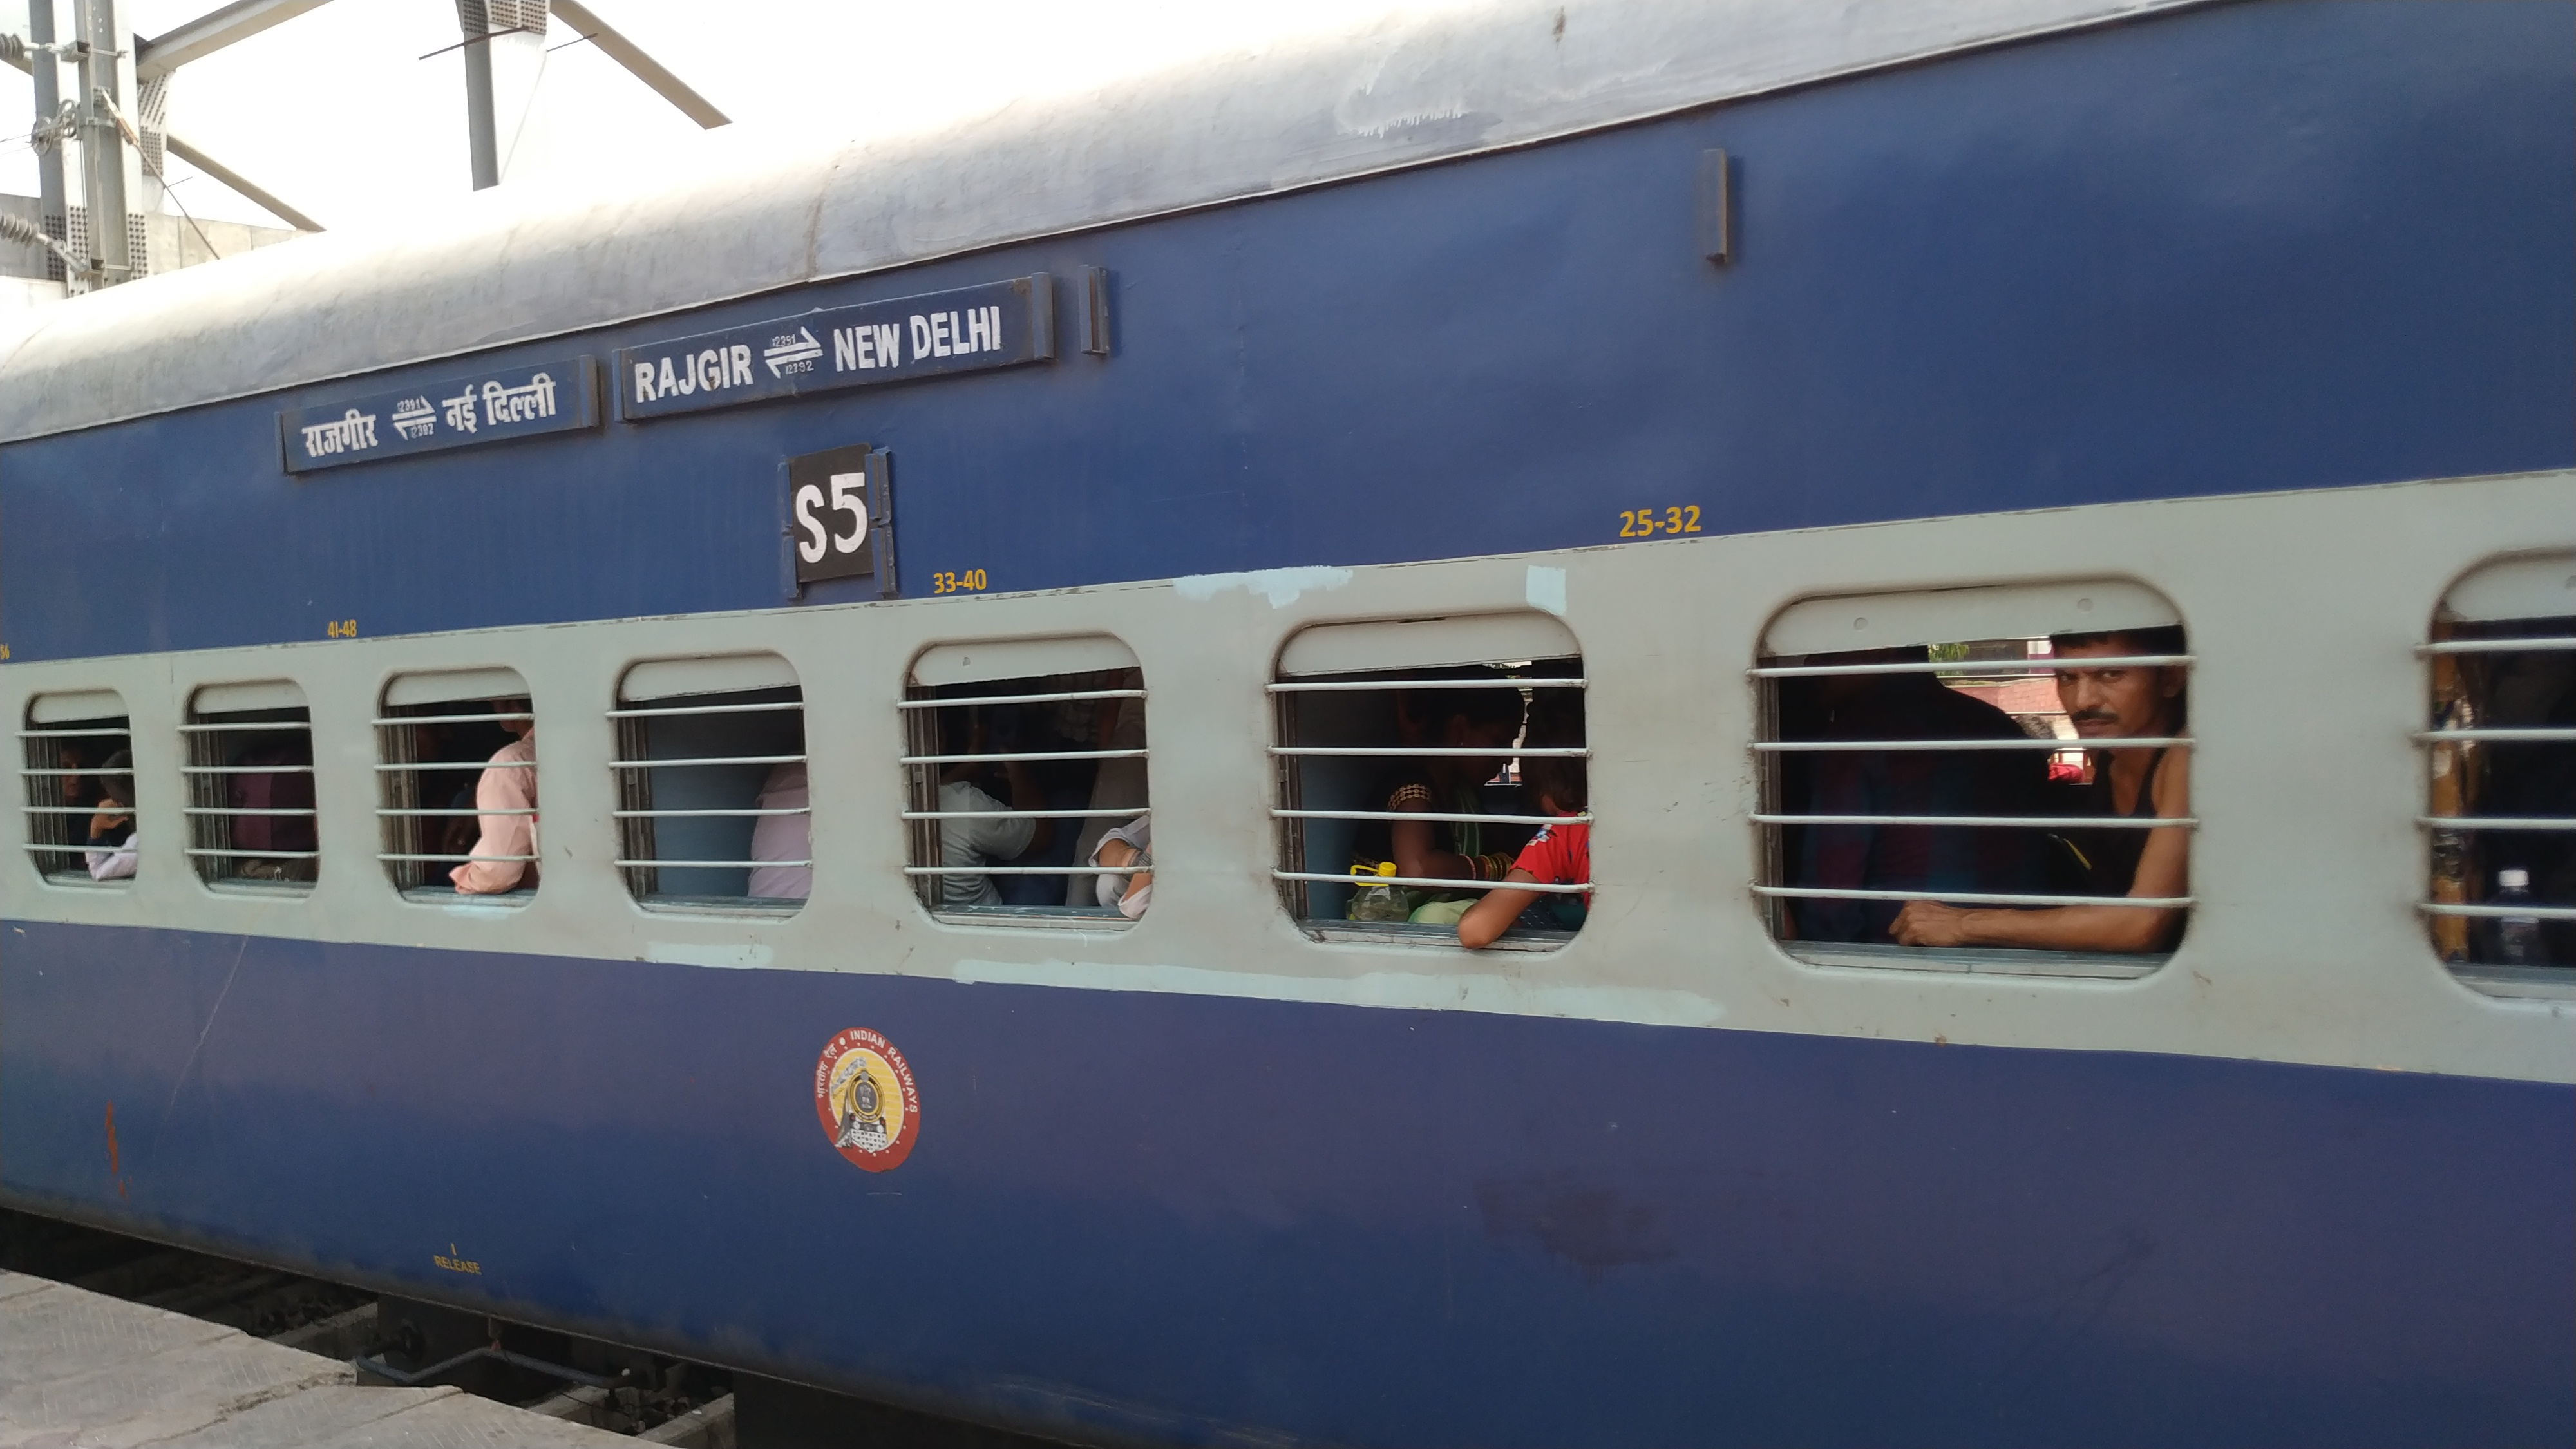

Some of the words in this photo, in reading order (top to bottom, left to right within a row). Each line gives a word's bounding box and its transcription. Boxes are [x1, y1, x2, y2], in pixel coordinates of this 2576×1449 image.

[300, 406, 381, 460] राजगीर
[440, 381, 478, 433] नई
[477, 369, 559, 427] दिल्ली
[635, 341, 755, 404] RAJGIR
[833, 323, 901, 374] NEW
[909, 305, 1003, 363] DELHI
[777, 460, 878, 573] S5
[1614, 497, 1709, 544] 25-32
[933, 563, 990, 596] 33-40
[818, 1039, 841, 1063] रेल
[846, 1025, 889, 1050] INDIAN
[813, 1058, 831, 1100] भारतीय
[882, 1040, 920, 1115] RAILWAYS